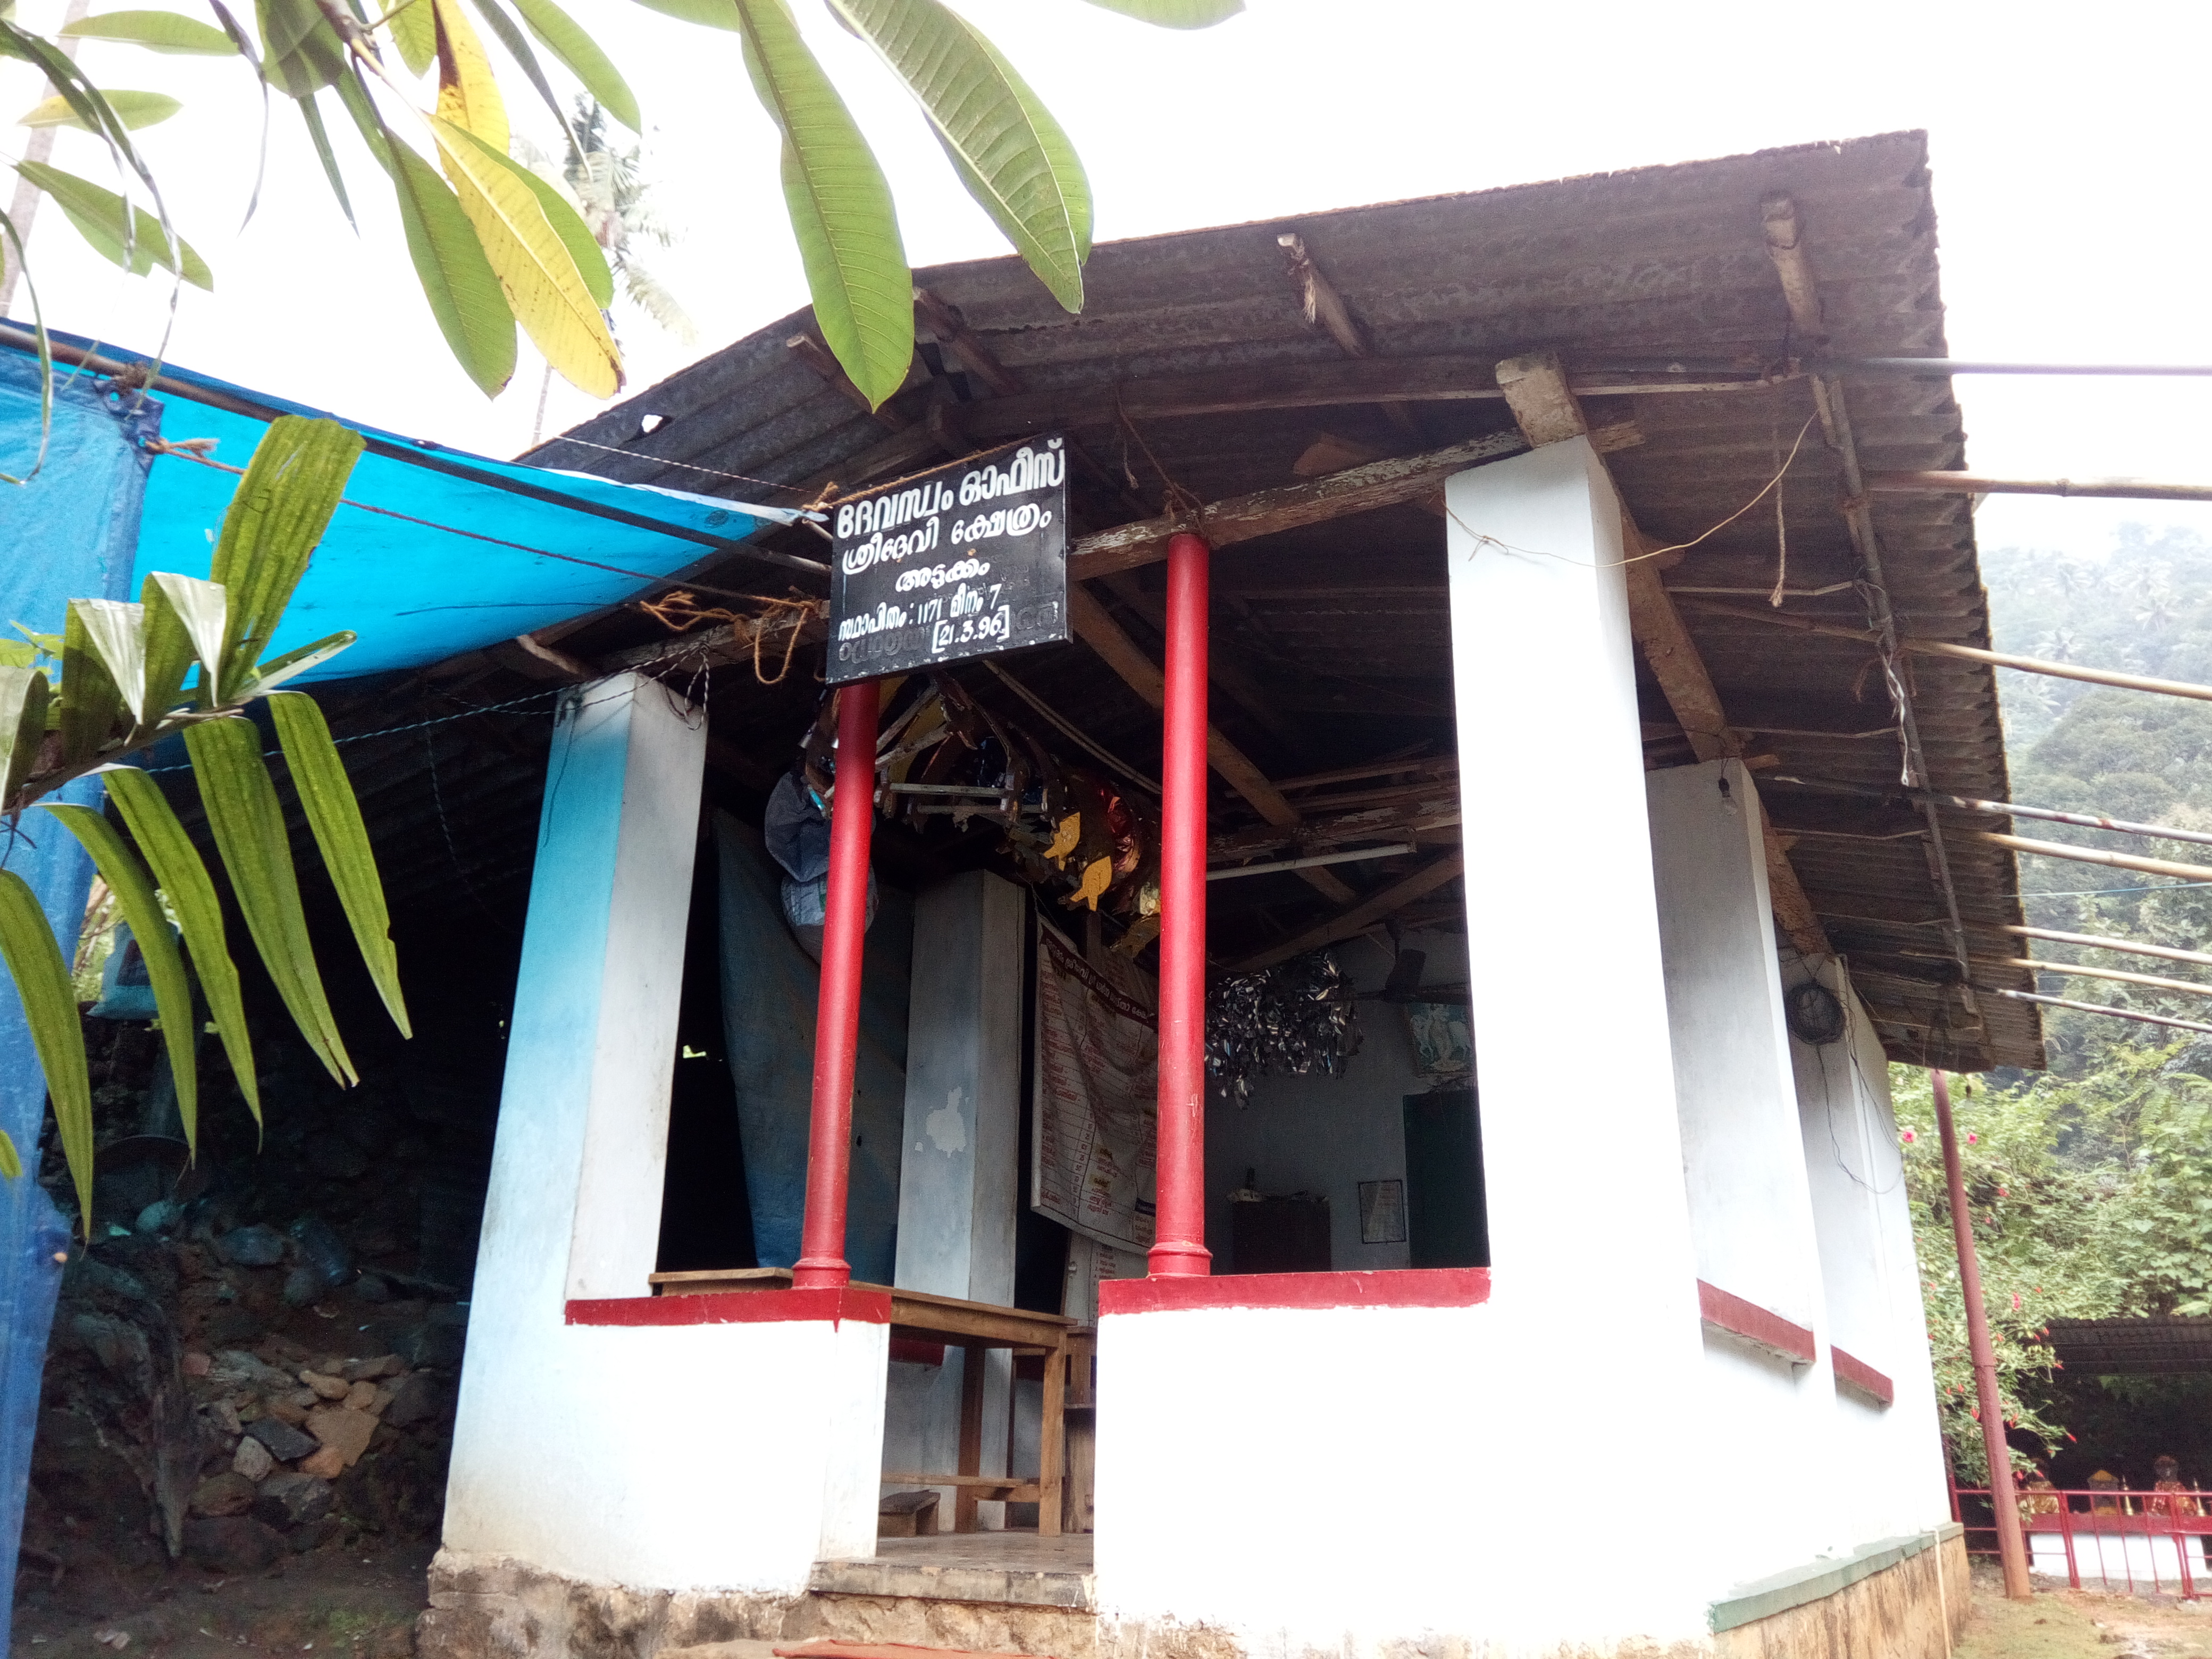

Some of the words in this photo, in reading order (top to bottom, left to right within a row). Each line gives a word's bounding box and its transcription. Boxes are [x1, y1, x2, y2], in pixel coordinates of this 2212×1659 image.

[957, 432, 1072, 510] ഓഫീസ്
[839, 508, 946, 580] ശ്രീദേവി
[831, 473, 959, 544] ദേവസ്വം
[945, 498, 1054, 547] ക്ഷേത്രം
[834, 592, 914, 646] സ്ഥാപിതം
[911, 590, 948, 629] 1171
[889, 552, 999, 598] അടുക്കം
[931, 601, 1011, 654] [21.3.96]
[943, 572, 1008, 624] മീന.7